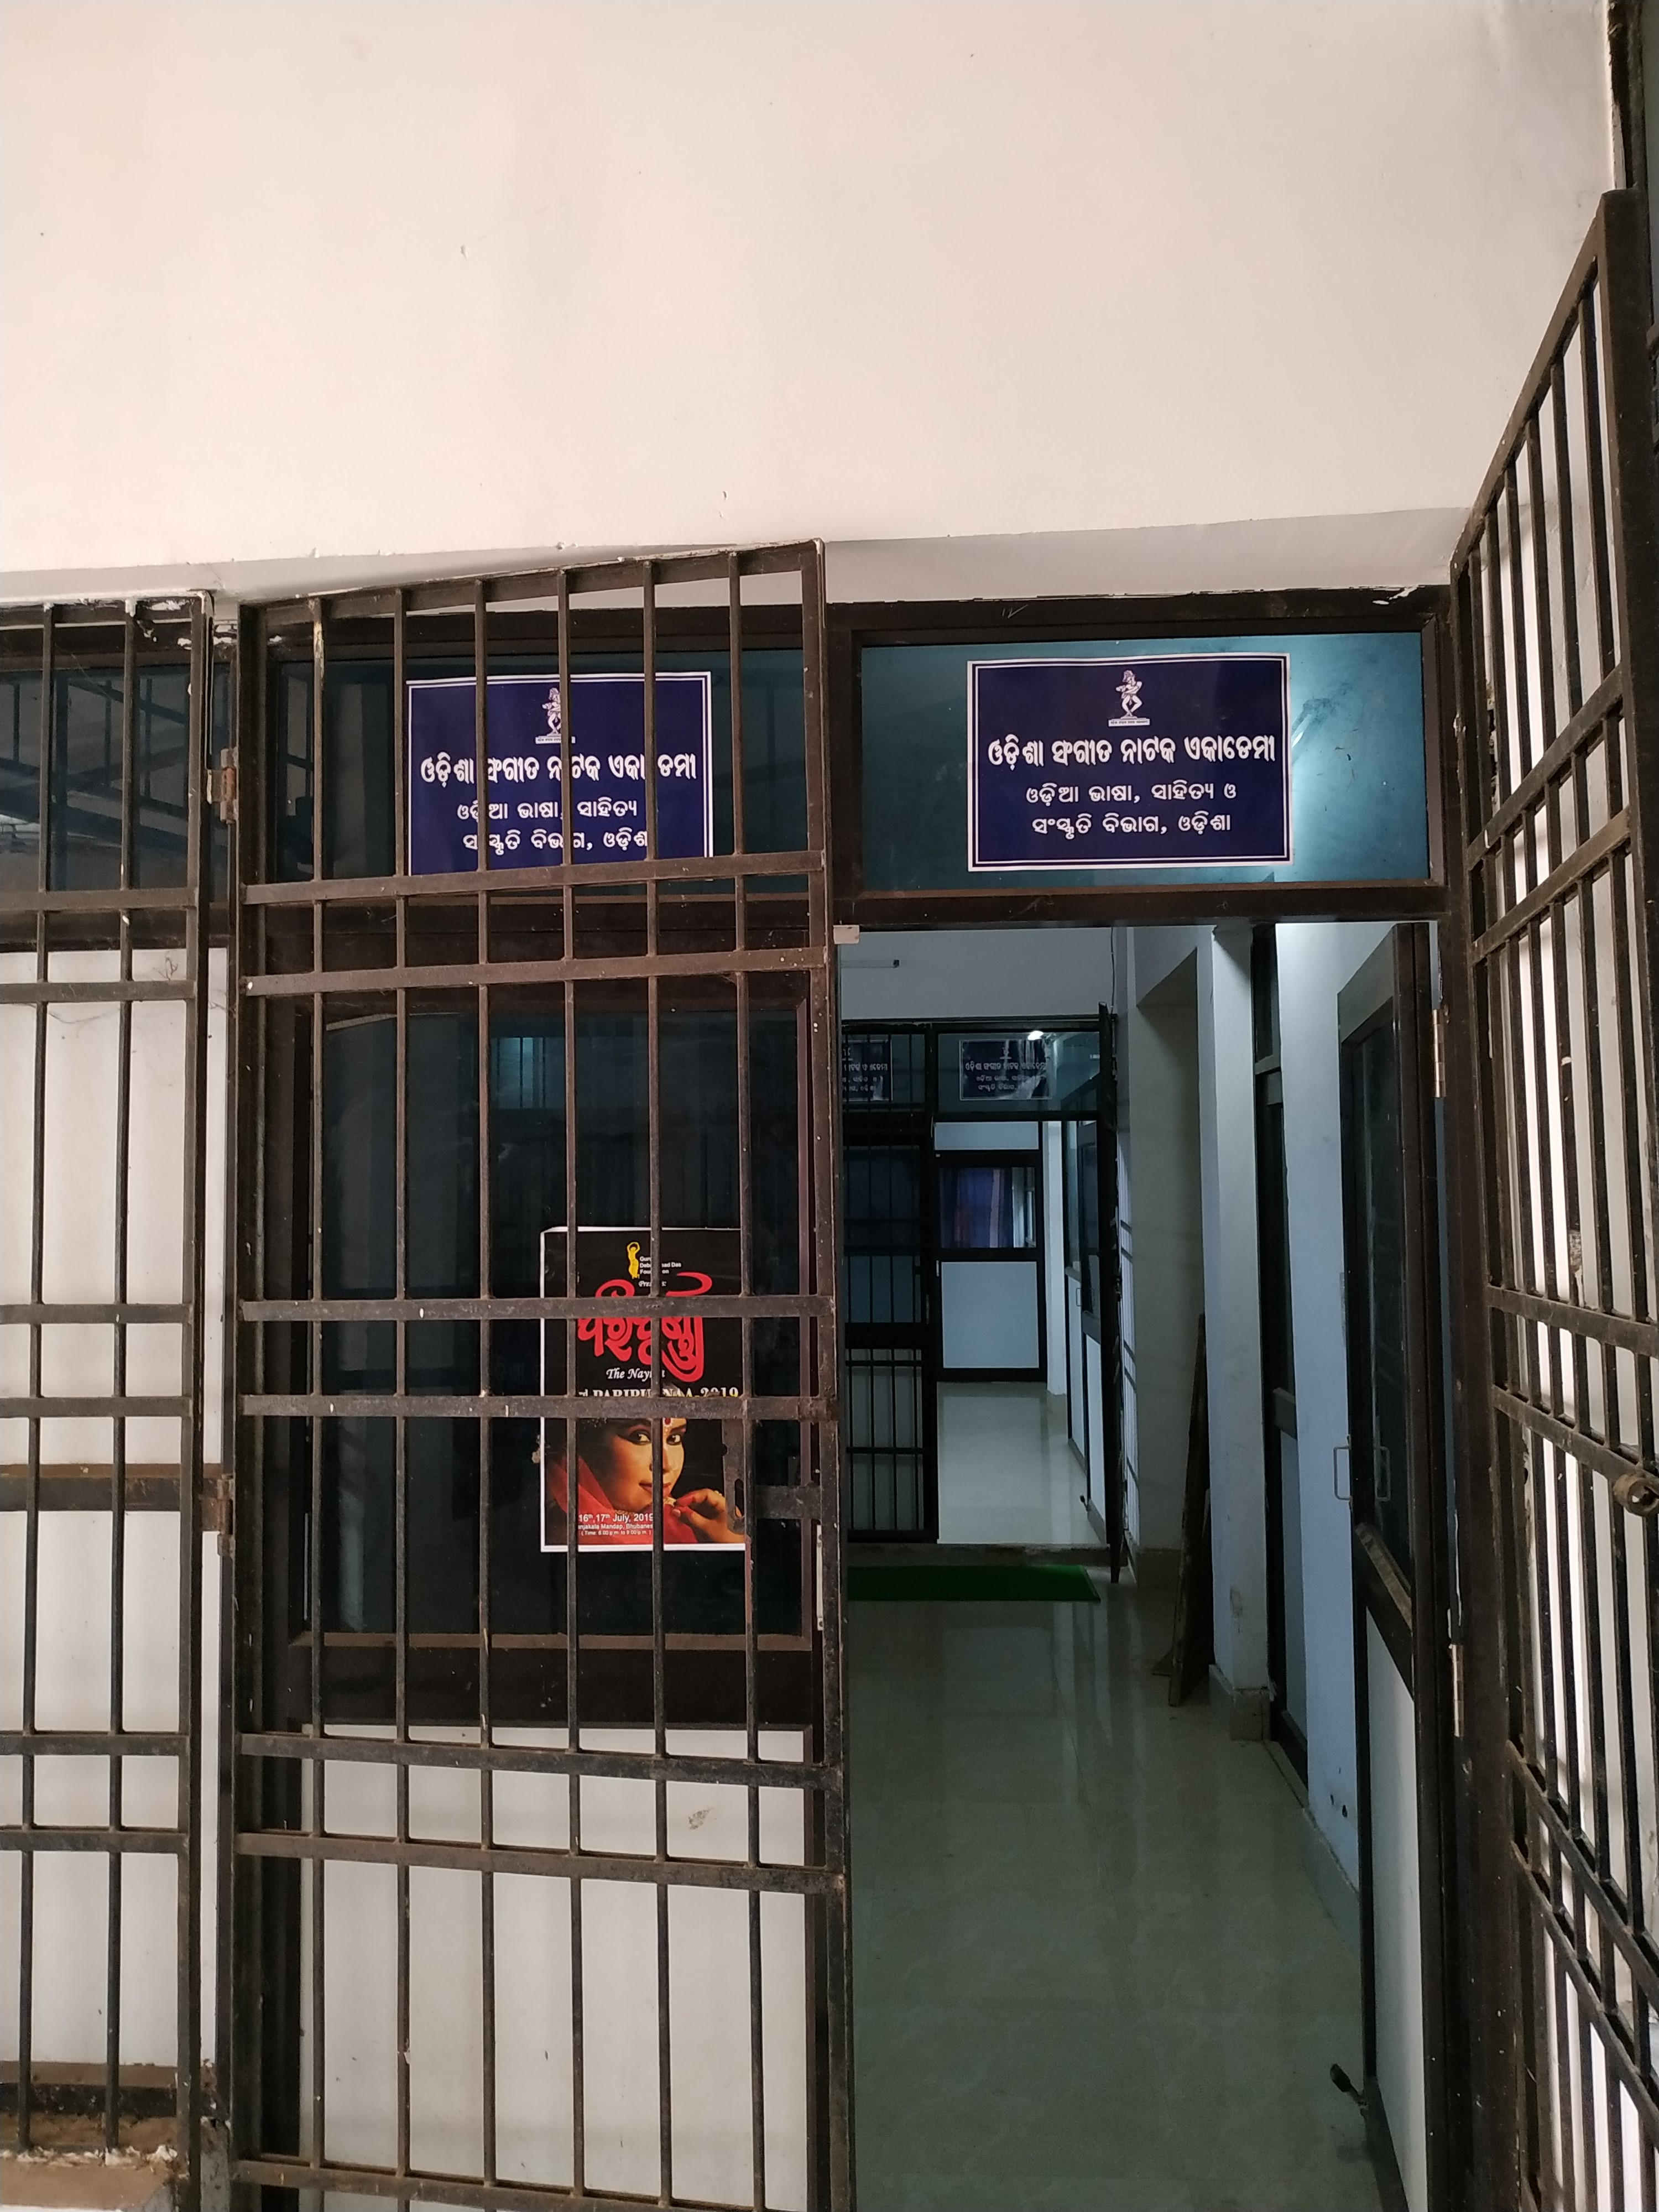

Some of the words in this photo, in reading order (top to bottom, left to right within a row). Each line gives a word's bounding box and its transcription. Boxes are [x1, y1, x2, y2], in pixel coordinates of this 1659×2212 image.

[418, 744, 477, 789] ଓଡ଼ିଶା
[483, 751, 542, 789] ସଂଗୀତ
[545, 750, 602, 784] ନାଟକ
[602, 752, 648, 785] ଏକା
[655, 749, 698, 782] ଚମୀ
[984, 726, 1047, 776] ଓଡ଼ିଶା
[1050, 735, 1117, 767] ସଂଗୀତ
[1115, 733, 1177, 767] ନାଟକ
[1180, 731, 1279, 765] ଏକାଡେମୀ
[454, 796, 510, 826] ଓଡ଼ିଆ
[455, 825, 525, 858] ସଂସ୍କୃତି
[509, 791, 564, 823] ଭାଷା
[523, 825, 593, 854] ବିଭାଗ,
[575, 795, 639, 821] ସାହିତ୍ୟ
[599, 821, 654, 855] ଓଡ଼ିଶ
[1025, 778, 1083, 809] ଓଡ଼ିଆ
[1028, 807, 1097, 842] ସଂସ୍କୃତି
[1085, 780, 1144, 806] ଭାଷା,
[1098, 806, 1170, 836] ବିଭାଗ,
[1147, 774, 1218, 804] ସାହିତ୍ୟ
[1175, 807, 1233, 836] ଓଡ଼ିଶା
[1220, 778, 1238, 801] ଓ
[961, 1058, 985, 1073] ଓଡ଼ିଶା
[974, 1070, 994, 1084] ଓଡ଼ିଆ
[977, 1079, 998, 1093] ସଂସ୍କୃତି
[980, 1058, 1003, 1073] ସଂଗୀତ
[991, 1069, 1011, 1084] ଭାଷା
[994, 1078, 1016, 1093] ବିଭାଗ
[998, 1057, 1020, 1074] ନାଟକ
[599, 1360, 637, 1384] The
[622, 1362, 674, 1383] Nay
[575, 1520, 601, 1533] injakala
[576, 1507, 614, 1525] 16th,17th
[599, 1520, 627, 1531] Mandap
[611, 1511, 633, 1527] July.